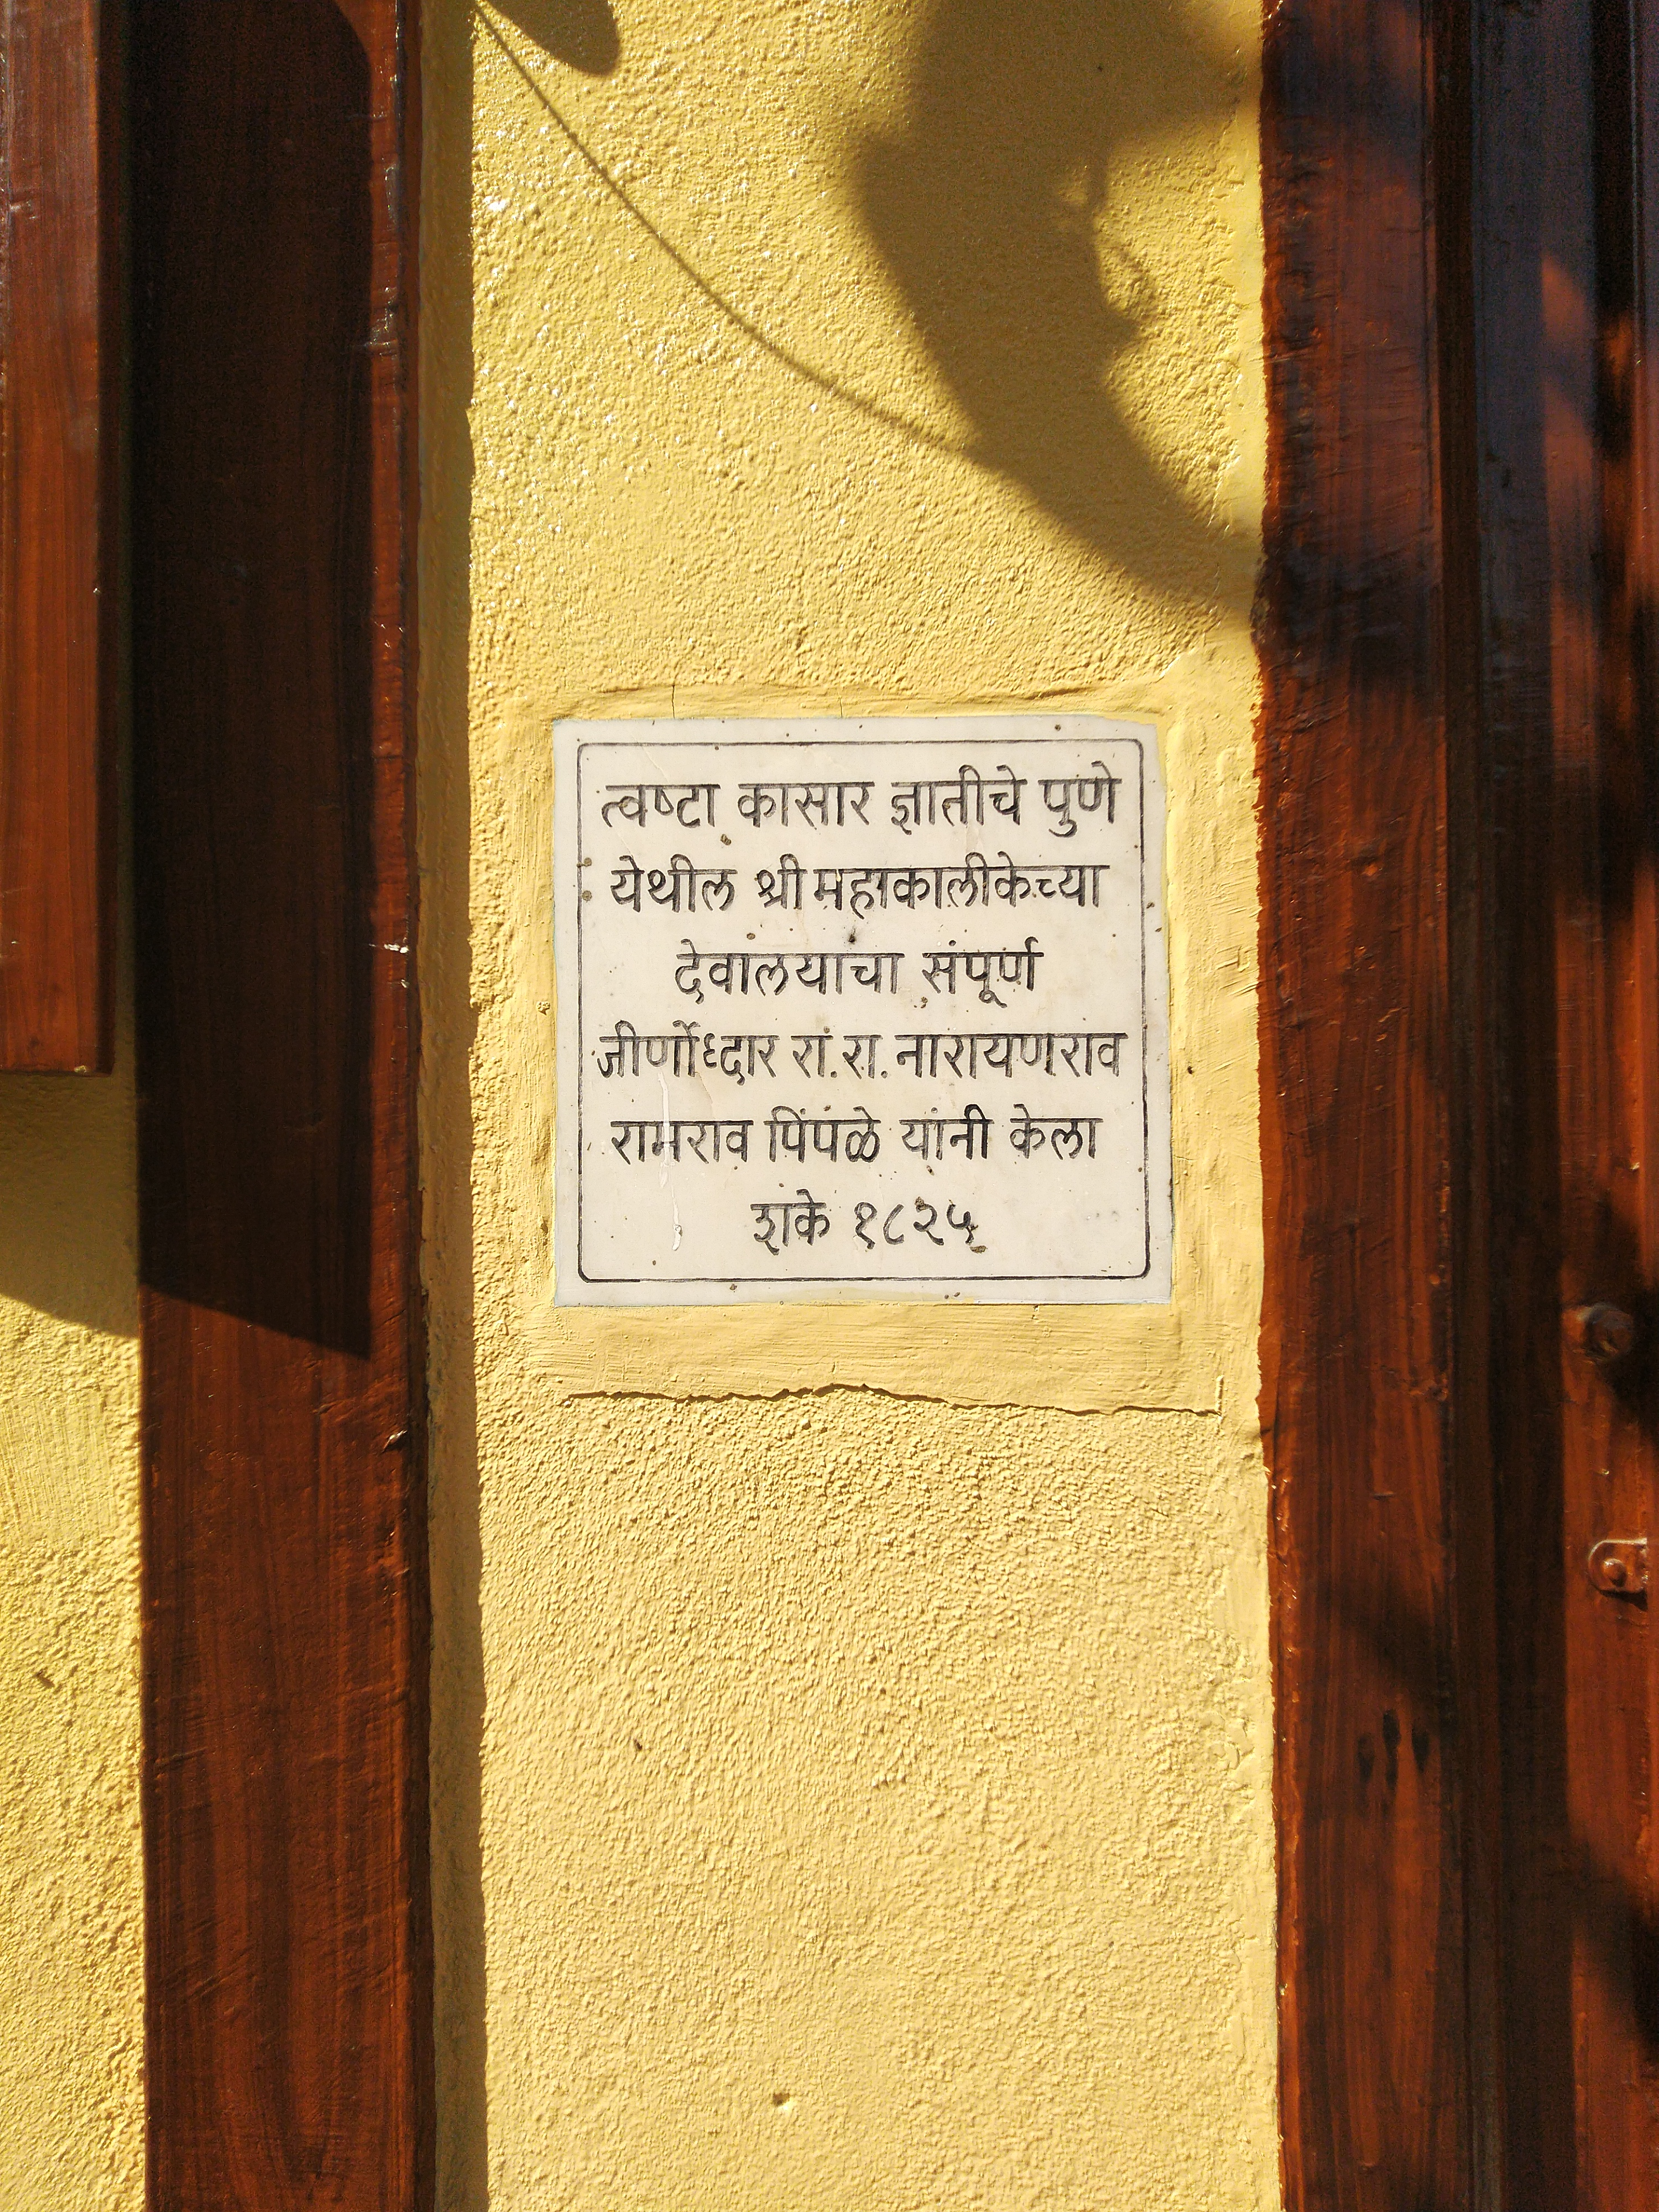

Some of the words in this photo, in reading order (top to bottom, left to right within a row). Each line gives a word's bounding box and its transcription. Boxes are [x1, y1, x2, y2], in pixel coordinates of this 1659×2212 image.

[597, 778, 727, 837] त्वष्टा
[733, 771, 881, 831] कासार
[886, 757, 1036, 843] ज्ञातीचे
[1039, 756, 1132, 844] पुणे
[604, 848, 739, 916] येथील
[749, 843, 808, 916] श्री
[808, 843, 1111, 923] महाकालीकेच्या
[670, 927, 907, 1008] देवांलयाचा
[919, 934, 1048, 1013] संपूर्ण
[594, 1011, 784, 1091] जीर्णोध्दार
[787, 1024, 891, 1085] रां. रा.
[895, 1026, 1129, 1082] नारायणराव
[606, 1113, 756, 1167] रामराव
[764, 1091, 885, 1168] पिंपळे
[895, 1100, 999, 1166] यांनी
[1007, 1094, 1106, 1164] केला
[748, 1176, 837, 1263] शके
[847, 1189, 992, 1260] १८२५